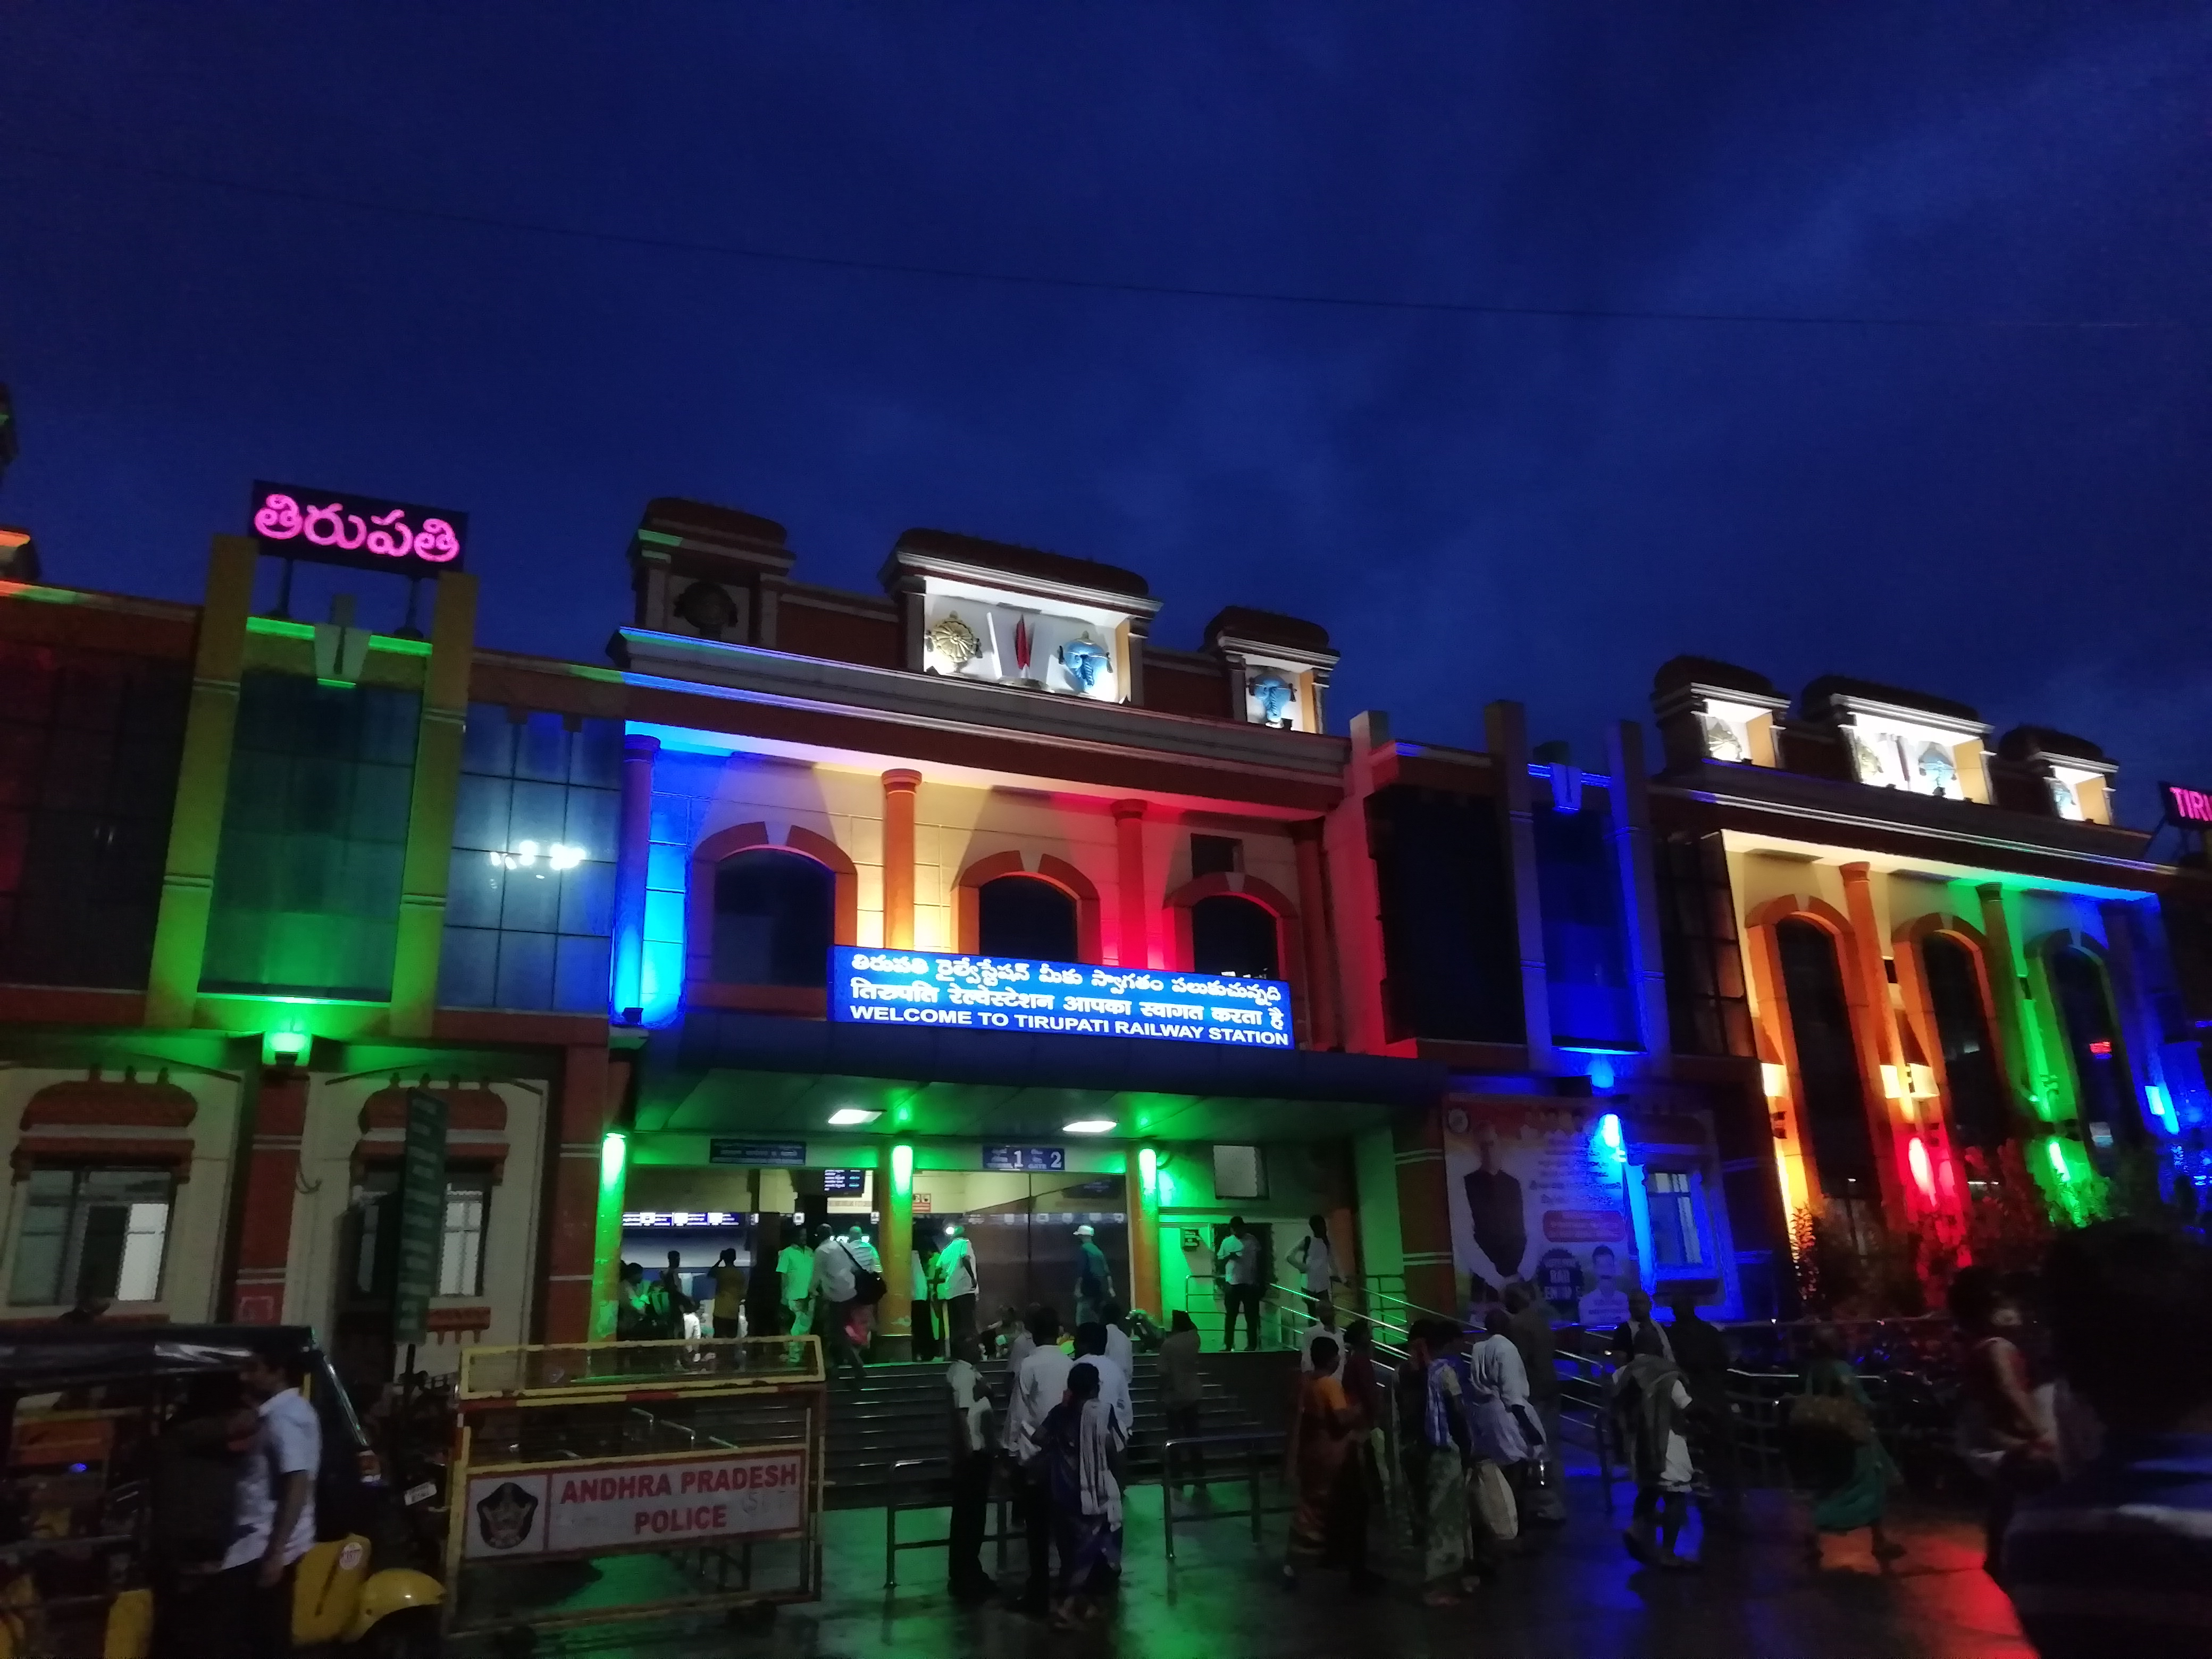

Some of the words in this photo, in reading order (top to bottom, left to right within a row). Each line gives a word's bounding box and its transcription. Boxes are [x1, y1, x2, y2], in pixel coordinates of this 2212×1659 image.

[248, 487, 464, 573] తిరుపతి
[846, 945, 933, 980] తిరుపతి
[843, 970, 943, 1006] तिरूपति
[847, 1000, 974, 1030] WELCOME
[928, 950, 1035, 992] రైల్వేష్టషన్
[977, 1008, 1012, 1035] TO
[945, 978, 1058, 1015] रेल्वेस्टेशन
[1034, 954, 1088, 991] మీకు
[1010, 1005, 1116, 1039] TIRUPATI
[1056, 995, 1135, 1017] आपका
[1085, 964, 1168, 998] స్వాగతం
[1139, 998, 1206, 1023] स्वागत
[1169, 970, 1284, 1011] పలుకుచున్నది
[1208, 1004, 1267, 1030] करता
[1266, 1000, 1291, 1033] है
[557, 1468, 674, 1508] ANDHRA
[677, 1460, 799, 1497] PRADESH
[632, 1501, 729, 1537] POLICE